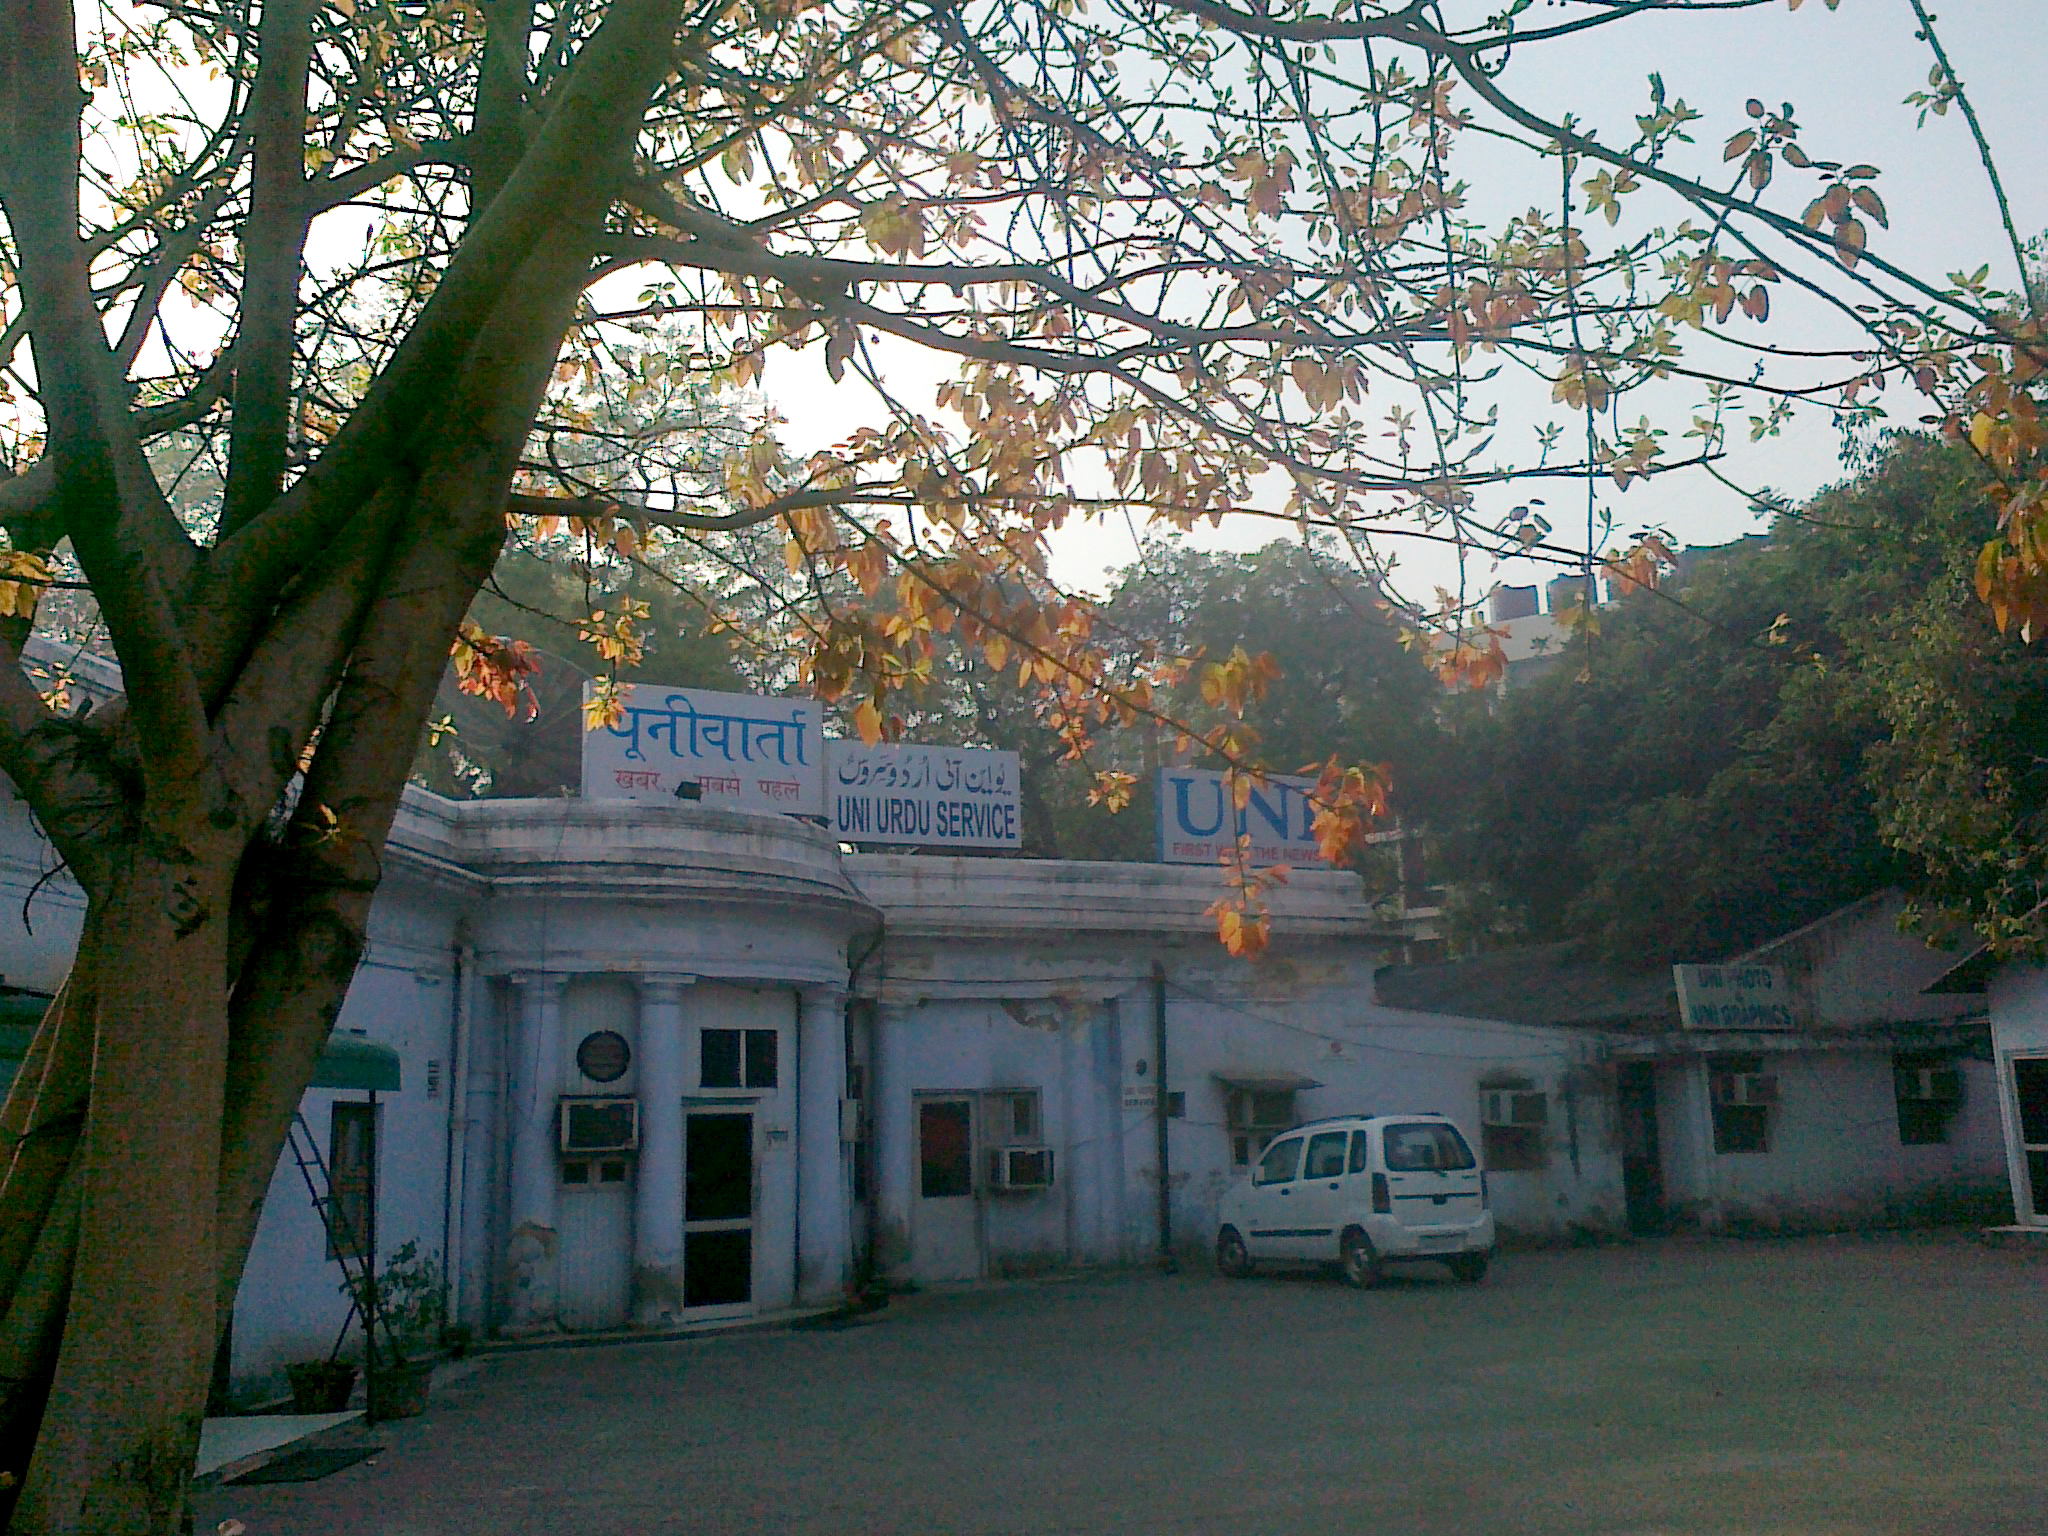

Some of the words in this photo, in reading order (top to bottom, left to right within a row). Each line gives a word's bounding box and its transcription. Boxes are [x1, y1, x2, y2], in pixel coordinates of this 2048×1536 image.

[601, 691, 815, 773] नीवार्ता
[613, 757, 667, 797] खबर
[695, 765, 745, 799] सबसे
[755, 771, 805, 803] पहले
[833, 792, 873, 835] UNI
[873, 796, 935, 838] URDU
[927, 791, 1020, 843] SERVICE
[1164, 768, 1327, 849] UNI